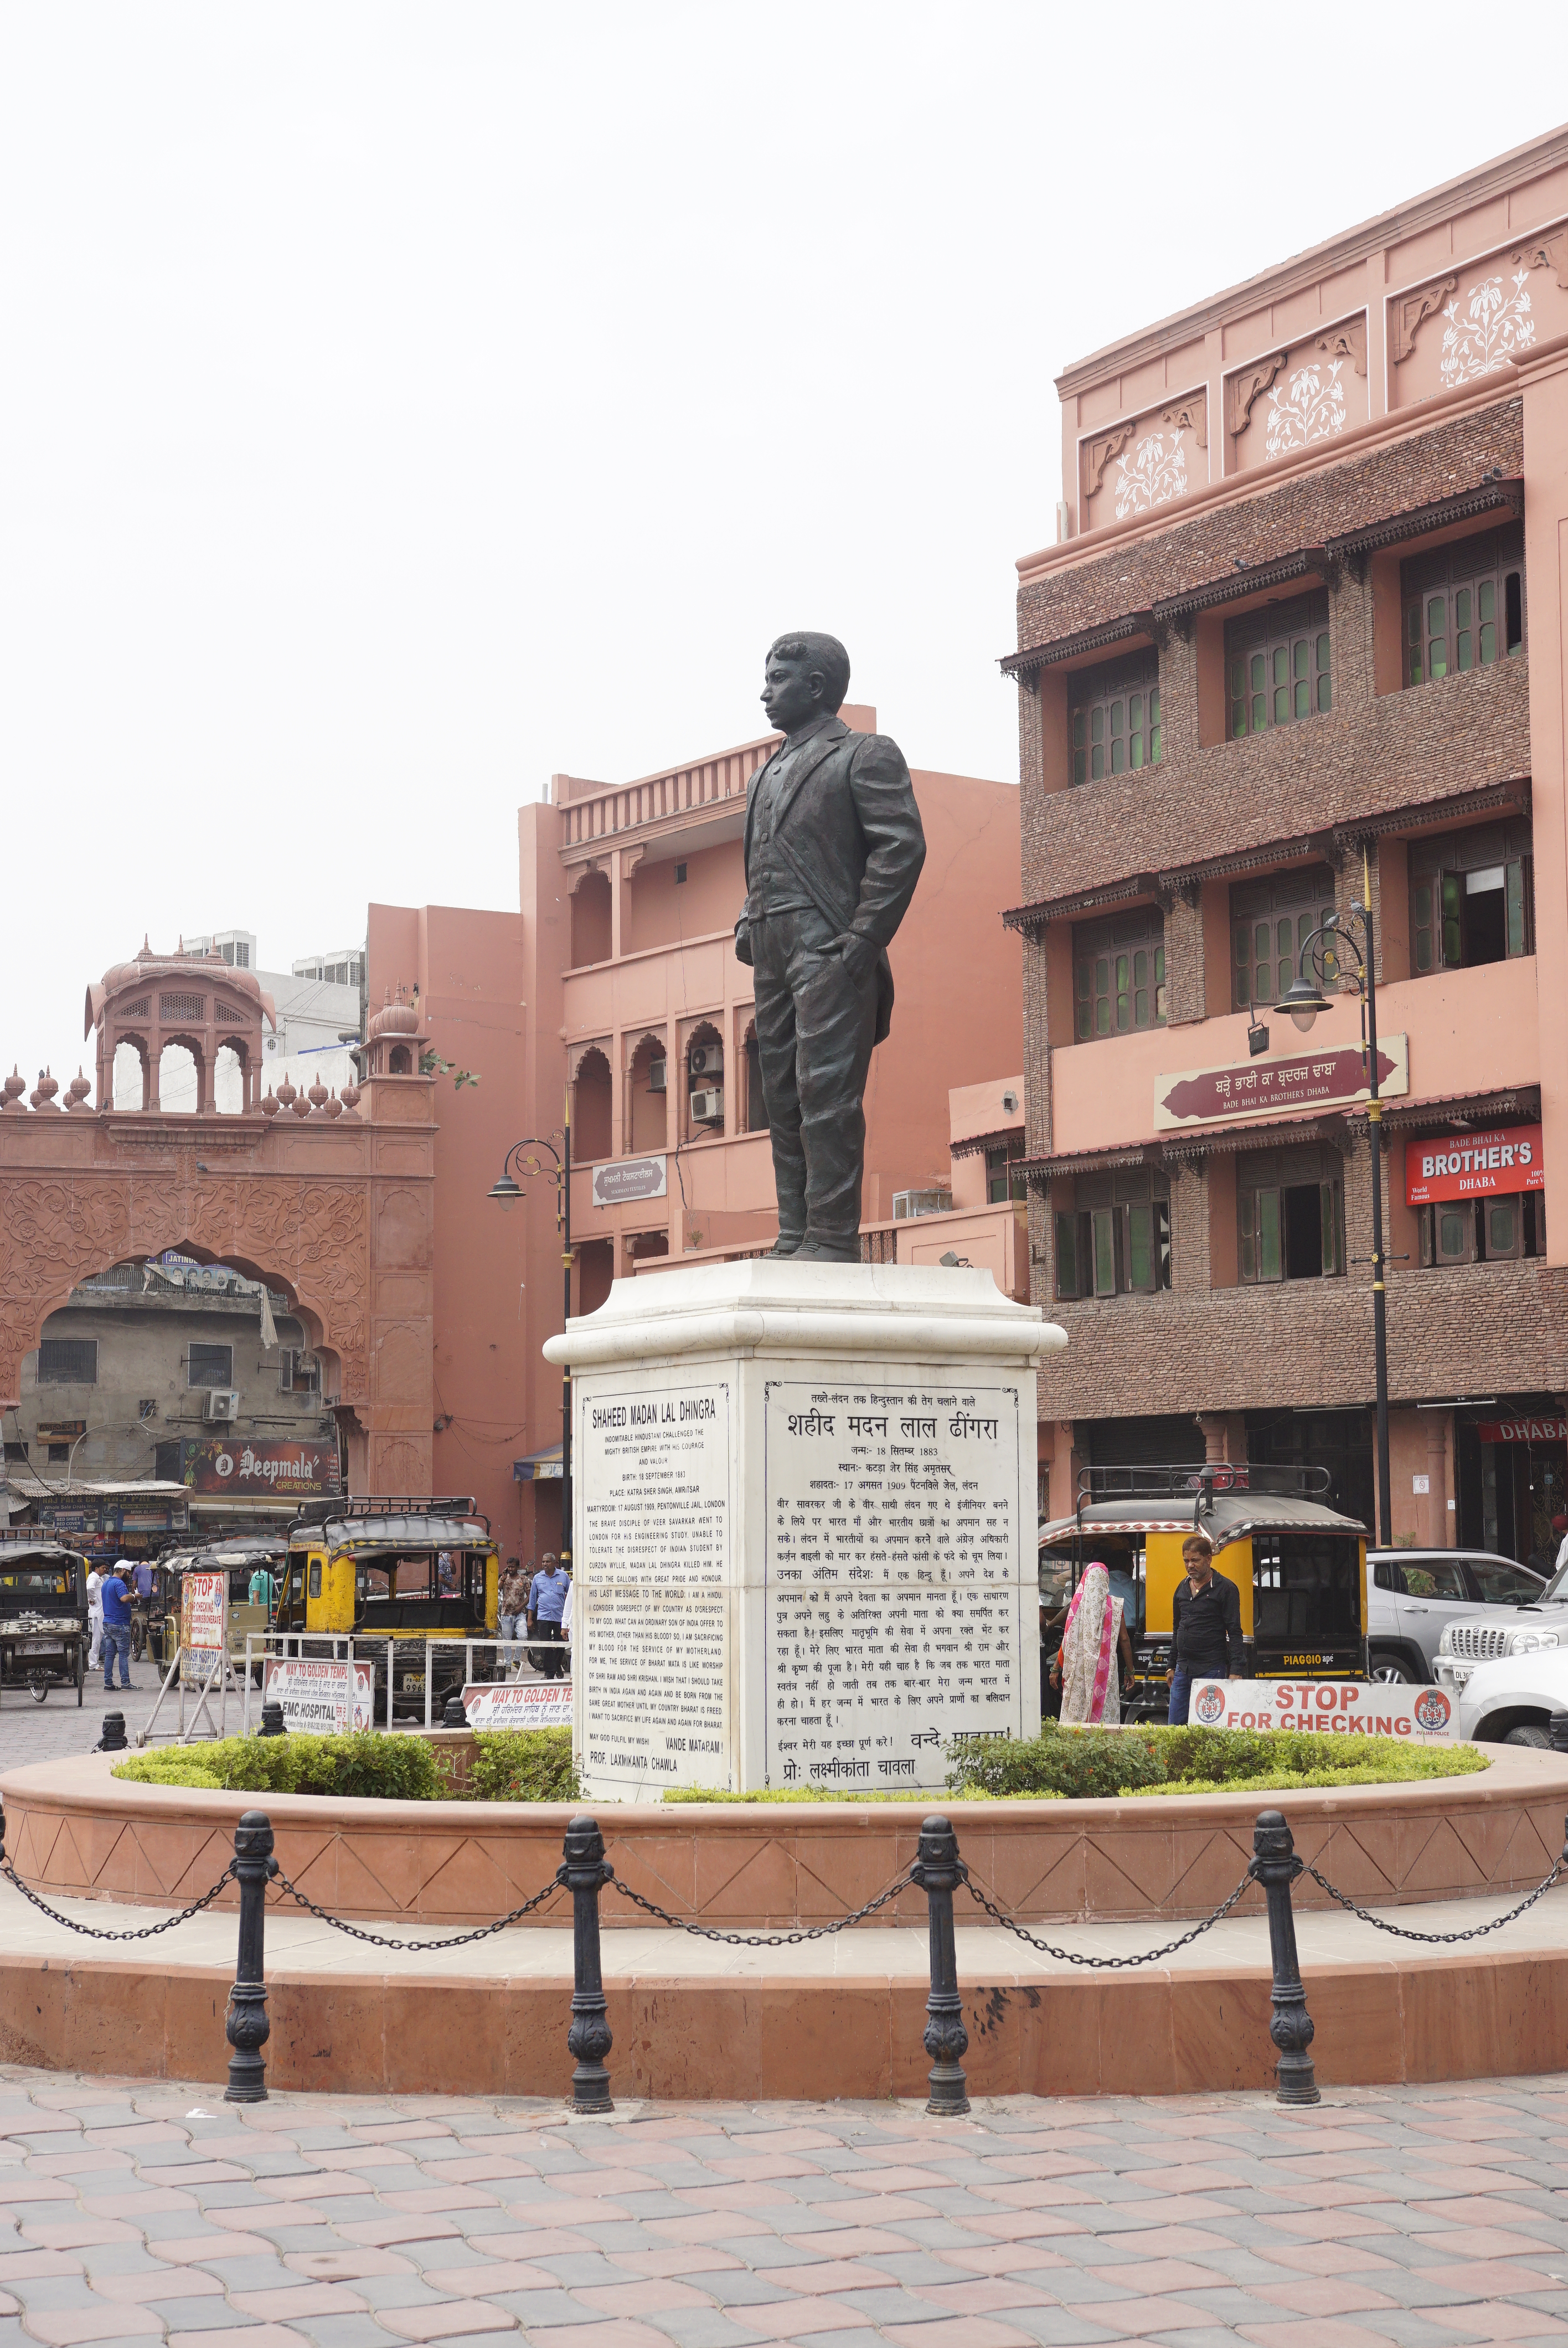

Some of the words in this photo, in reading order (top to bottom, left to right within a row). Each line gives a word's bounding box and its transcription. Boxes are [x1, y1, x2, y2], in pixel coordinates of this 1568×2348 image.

[1211, 1072, 1234, 1099] ਬੜ੍ਹੇ
[1220, 1098, 1240, 1111] BADE
[1233, 1068, 1260, 1094] ਭਾਈ
[1239, 1095, 1258, 1108] BHAI
[1257, 1092, 1269, 1105] KA
[1259, 1067, 1277, 1088] ਕਾ
[1268, 1087, 1304, 1103] BROTHER
[1275, 1060, 1311, 1088] ਬ੍ਰਦਰਜ਼
[1304, 1083, 1332, 1100] DHABA
[1310, 1059, 1339, 1081] ਢਾਬਾ
[1445, 1136, 1471, 1151] BADE
[1471, 1132, 1493, 1148] BHAI
[1492, 1131, 1508, 1145] KA
[1419, 1140, 1533, 1181] BROTHER
[602, 1169, 621, 1190] ਸੁਖਮਨੀ
[621, 1166, 657, 1183] ਟੈਕਸਟਾਈਲਸ
[1408, 1185, 1430, 1194] World
[1456, 1173, 1497, 1193] DHABA
[1524, 1177, 1541, 1188] Pure
[1529, 1168, 1540, 1178] 100
[1408, 1192, 1432, 1202] Famous
[590, 1405, 629, 1431] SHAHEED
[603, 1432, 633, 1445] INDOMITABLE
[628, 1402, 659, 1429] MADAN
[633, 1430, 662, 1441] HINDUSTANI
[659, 1399, 679, 1427] LAL
[661, 1428, 693, 1440] CHALLENGED
[678, 1393, 719, 1425] DHINGRA.
[693, 1427, 705, 1438] THE
[778, 1406, 838, 1440] शहीद
[807, 1389, 851, 1406] तख्ते-लंदन
[851, 1392, 869, 1407] तक
[844, 1414, 892, 1439] मदन
[868, 1392, 905, 1413] हिन्दुस्तान
[904, 1393, 919, 1408] की
[896, 1415, 940, 1440] लाल
[918, 1392, 934, 1409] तेग
[933, 1394, 960, 1408] चलाने
[959, 1394, 977, 1409] वाले
[946, 1410, 1003, 1445] ढींगरा
[1495, 1422, 1567, 1441] DHABA
[602, 1446, 622, 1457] MIGHTY
[621, 1445, 639, 1456] BRITISH
[639, 1444, 658, 1455] EMPIRE
[658, 1443, 672, 1453] WITH
[671, 1442, 681, 1452] HIS
[680, 1440, 705, 1452] COURAGE
[848, 1445, 866, 1457] जन्म
[875, 1446, 887, 1457] 18
[888, 1442, 916, 1458] सितम्बर
[917, 1444, 941, 1459] 1883
[235, 1440, 323, 1487] Deepmala CREATIONS
[620, 1472, 637, 1482] BIRTH:
[637, 1471, 645, 1482] 18
[637, 1457, 648, 1466] AND
[648, 1456, 669, 1466] VALOUR
[644, 1469, 675, 1481] SEPTEMBER
[674, 1468, 687, 1481] 1883
[835, 1462, 855, 1474] स्थान
[864, 1462, 888, 1475] कटड़ा
[888, 1459, 903, 1475] शेर
[902, 1460, 920, 1476] सिंह
[920, 1463, 956, 1477] अमृतसर
[275, 1480, 322, 1494] CREATIONS
[608, 1487, 626, 1499] PLACE:
[626, 1487, 643, 1499] KATRA
[642, 1487, 656, 1496] SHER
[656, 1485, 673, 1496] SINGH,
[673, 1484, 702, 1495] AMRITSAR
[808, 1478, 834, 1492] शहादत
[842, 1479, 855, 1491] 17
[854, 1478, 884, 1492] अगसत
[884, 1480, 907, 1491] 1909
[907, 1476, 941, 1492] पैंटनविले
[941, 1477, 958, 1494] जेल,
[957, 1479, 981, 1494] लंदन
[585, 1502, 617, 1515] MARTYRDOM:
[616, 1502, 624, 1512] 17
[623, 1501, 643, 1512] AUGUST
[643, 1501, 656, 1512] 1909,
[656, 1499, 690, 1511] PENTONVILLE
[690, 1500, 704, 1510] JAIL,
[703, 1498, 726, 1510] LONDON
[774, 1496, 791, 1511] वीर
[793, 1498, 827, 1512] सावरकर
[830, 1497, 843, 1511] जी
[844, 1496, 858, 1511] के
[859, 1496, 878, 1511] वीर
[879, 1497, 901, 1511] साथी
[901, 1499, 924, 1512] लंदन
[924, 1498, 941, 1513] गए
[941, 1496, 953, 1512] थे
[953, 1496, 988, 1513] इंजीनियर
[989, 1497, 1013, 1513] बनने
[586, 1520, 599, 1528] THE
[600, 1518, 616, 1528] BRAVE
[616, 1518, 642, 1529] DISCIPLE
[642, 1518, 651, 1529] OF
[649, 1516, 667, 1528] VEER
[667, 1516, 696, 1528] SAVARKAR
[696, 1515, 715, 1526] WENT
[714, 1514, 725, 1526] TO
[775, 1513, 787, 1528] केे
[788, 1513, 807, 1528] लिये
[809, 1516, 823, 1527] प‍र
[826, 1515, 849, 1528] भारत
[851, 1513, 864, 1529] माँ
[865, 1512, 885, 1528] और
[887, 1515, 917, 1530] भारतीय
[914, 1512, 937, 1529] छात्रों
[938, 1516, 952, 1530] का
[953, 1516, 983, 1528] अपमान
[983, 1516, 999, 1530] सह
[999, 1515, 1012, 1528] न
[587, 1531, 610, 1542] LONDON
[610, 1531, 623, 1542] FOR
[620, 1531, 633, 1542] 1118
[632, 1530, 669, 1542] ENGINEERING
[668, 1530, 688, 1540] STUDY
[690, 1529, 715, 1540] UNABLE
[714, 1528, 724, 1539] TO
[772, 1530, 793, 1547] सके
[798, 1531, 819, 1546] लंदन
[821, 1529, 833, 1546] में
[833, 1530, 866, 1546] भारतीयों
[867, 1532, 881, 1546] का
[881, 1533, 911, 1546] अपमान
[912, 1531, 934, 1546] करनेे
[933, 1531, 952, 1546] वाले
[952, 1531, 977, 1548] अंग्रेज़
[976, 1531, 1012, 1546] अधिकारी
[586, 1573, 604, 1584] FACED
[586, 1560, 608, 1571] CURZON
[587, 1545, 615, 1554] TOLERATE
[603, 1574, 616, 1585] THE
[608, 1559, 627, 1571] WYLLIE,
[613, 1544, 626, 1554] THE
[616, 1573, 639, 1584] GALLOWS
[627, 1560, 647, 1571] MADAN
[625, 1543, 658, 1556] DISRESPECT
[639, 1572, 653, 1584] WITH
[647, 1559, 659, 1570] LAL
[653, 1573, 671, 1584] GREAT
[657, 1543, 668, 1554] OF
[659, 1559, 682, 1569] DHINGRA
[667, 1542, 688, 1553] INDIAN
[671, 1573, 688, 1584] PRIDE
[682, 1559, 702, 1570] KILLED
[687, 1573, 699, 1583] AND
[688, 1542, 715, 1553] STUDENT
[701, 1558, 715, 1570] HIM.
[700, 1572, 723, 1584] HONOUR.
[714, 1541, 724, 1553] BY
[714, 1558, 724, 1569] HE
[772, 1547, 797, 1563] कर्ज़न
[772, 1567, 803, 1582] उनका
[797, 1548, 822, 1564] वाइली
[809, 1564, 841, 1581] अंतिम
[822, 1547, 838, 1564] को
[837, 1549, 853, 1563] मार
[845, 1563, 870, 1582] संदेश
[853, 1550, 869, 1562] कर
[878, 1566, 894, 1582] मैं
[868, 1548, 911, 1565] हंसते-हंसते
[894, 1569, 912, 1582] एक
[911, 1548, 931, 1563] फांसी
[914, 1567, 936, 1585] हिन्दू
[930, 1549, 943, 1563] केे
[937, 1566, 950, 1585] हूँ।
[942, 1548, 957, 1563] फंदे
[957, 1548, 971, 1562] क‍ो
[955, 1565, 978, 1582] अपने
[969, 1549, 986, 1566] चूम
[979, 1566, 998, 1583] देश
[986, 1549, 1004, 1564] लिया
[998, 1564, 1012, 1580] के
[586, 1588, 599, 1599] HIS
[599, 1588, 613, 1599] LAST
[613, 1588, 641, 1599] MESSAGE
[640, 1588, 651, 1599] TO
[649, 1587, 664, 1599] THE
[663, 1588, 686, 1599] WORLD:
[685, 1588, 691, 1600] I
[690, 1589, 700, 1599] AM
[699, 1589, 705, 1602] A
[705, 1589, 725, 1601] HINDU.
[775, 1593, 804, 1604] अपमान
[808, 1589, 821, 1605] काे
[822, 1589, 833, 1604] मैं
[833, 1589, 854, 1604] अपने
[855, 1589, 878, 1603] देवता
[878, 1591, 891, 1603] का
[895, 1590, 924, 1605] अपमान
[924, 1590, 948, 1603] मानता
[947, 1587, 961, 1605] हूँ
[963, 1589, 982, 1603] एक
[979, 1588, 1012, 1603] साधारण
[585, 1601, 592, 1612] I
[585, 1615, 595, 1626] TO
[585, 1629, 597, 1641] HIS
[595, 1615, 602, 1625] MY
[592, 1601, 616, 1613] CONSIDER
[597, 1630, 616, 1640] MOTHER,
[602, 1616, 613, 1625] GOD.
[613, 1616, 627, 1626] WHAT
[616, 1630, 632, 1640] OTHER
[615, 1603, 643, 1614] DISRESPECT
[627, 1616, 637, 1627] CAN
[632, 1630, 644, 1641] THAN
[636, 1617, 644, 1627] AN
[643, 1603, 652, 1615] OF
[644, 1630, 653, 1641] HIS
[644, 1616, 668, 1628] ORDINARY
[652, 1602, 661, 1614] MY
[652, 1630, 670, 1642] BLOOD?
[667, 1616, 678, 1628] SON
[661, 1603, 685, 1614] COUNTRY
[670, 1631, 682, 1642] SO,
[678, 1617, 686, 1628] OF
[681, 1631, 685, 1642] I
[683, 1603, 694, 1614] AS
[684, 1632, 694, 1642] AM
[686, 1616, 699, 1628] INDIA
[699, 1618, 715, 1629] OFFER
[693, 1604, 725, 1615] DISRESPECT
[693, 1632, 725, 1642] SACRIFICING
[715, 1619, 724, 1630] TO
[770, 1609, 790, 1624] पु‍त्र
[775, 1629, 799, 1640] सकता
[791, 1608, 814, 1623] अपने
[801, 1624, 811, 1640] है
[816, 1610, 833, 1625] लहु
[817, 1625, 849, 1641] इसलिए
[833, 1605, 847, 1622] के
[849, 1624, 881, 1643] मातृभूमि
[849, 1608, 884, 1623] अतिरिक्त
[880, 1623, 896, 1639] की
[885, 1606, 911, 1623] अपनी
[896, 1622, 916, 1639] सेवा
[910, 1609, 930, 1620] माता
[918, 1622, 930, 1638] में
[932, 1605, 947, 1621] को
[930, 1624, 953, 1636] अपना
[948, 1606, 965, 1621] क्या
[958, 1625, 976, 1636] रक्त
[966, 1604, 994, 1621] समर्पित
[979, 1622, 996, 1636] भेंट
[994, 1606, 1012, 1619] कर
[996, 1624, 1014, 1635] कर
[586, 1642, 597, 1652] MY
[597, 1642, 616, 1652] BLOOD
[615, 1642, 628, 1652] FOR
[627, 1643, 639, 1653] THE
[638, 1644, 664, 1654] SERVICE
[664, 1645, 674, 1655] OF
[673, 1645, 684, 1654] MY
[685, 1645, 723, 1656] MOTHERLAND.
[774, 1645, 790, 1657] रहा
[791, 1642, 803, 1662] हूँ।
[804, 1642, 822, 1656] मेरे
[823, 1643, 843, 1656] लिए
[843, 1644, 865, 1656] भारत
[865, 1643, 886, 1657] माता
[887, 1641, 901, 1654] की
[901, 1640, 920, 1657] सेवा
[920, 1639, 933, 1655] ह‌ी
[933, 1642, 961, 1655] भगवान
[960, 1639, 976, 1655] श्री
[975, 1641, 992, 1655] राम
[992, 1639, 1013, 1655] और
[282, 1699, 301, 1719] EMC
[285, 1662, 299, 1676] WAY
[297, 1662, 307, 1676] TO
[298, 1701, 336, 1722] HOSPITAL
[306, 1662, 330, 1680] GOLDEN
[488, 1703, 503, 1717] ਸ਼੍ਰੀ
[489, 1688, 512, 1706] WAY
[499, 1702, 524, 1716] ਹਰਿਮੰਦਰ
[510, 1687, 525, 1705] TO
[521, 1703, 541, 1714] ਸਾਹਿਬ
[523, 1686, 561, 1703] GOLDEN
[537, 1702, 549, 1717] ਨੂੰ
[546, 1703, 562, 1714] ਜਾਣ
[561, 1702, 570, 1714] ਦਾ
[586, 1710, 592, 1721] I
[587, 1670, 596, 1682] OF
[586, 1655, 599, 1666] FOR
[586, 1697, 601, 1708] SAME
[587, 1685, 602, 1696] BIRTH
[591, 1711, 604, 1721] WANT
[595, 1670, 606, 1681] SHRI
[599, 1655, 607, 1666] ME,
[602, 1685, 608, 1696] IN
[604, 1712, 611, 1722] TO
[601, 1698, 616, 1711] GREAT
[606, 1671, 616, 1682] RAM
[607, 1655, 618, 1667] THE
[607, 1685, 621, 1697] INDIA
[616, 1672, 626, 1682] AND
[611, 1713, 633, 1723] SACRIFICE
[616, 1700, 635, 1711] MOTHER
[618, 1656, 638, 1667] SERVICE
[621, 1684, 636, 1697] AGAIN
[626, 1672, 637, 1684] SHRI
[632, 1713, 641, 1725] MY
[636, 1686, 647, 1698] AND
[634, 1700, 649, 1711] UNTIL
[638, 1656, 648, 1667] OF
[641, 1713, 652, 1725] LIFE
[637, 1673, 658, 1685] KRISHAN.
[649, 1701, 658, 1712] MY
[647, 1686, 663, 1698] AGAIN
[647, 1656, 667, 1669] BHARAT
[651, 1716, 666, 1726] AGAIN
[658, 1674, 663, 1685] I
[656, 1701, 680, 1713] COUNTRY
[662, 1674, 675, 1685] WISH
[663, 1689, 675, 1700] AND
[666, 1716, 677, 1726] AND
[667, 1659, 682, 1670] MATA
[673, 1690, 682, 1701] BE
[674, 1675, 688, 1685] THAT
[677, 1717, 692, 1727] AGAIN
[682, 1659, 688, 1670] IS
[686, 1676, 691, 1686] I
[682, 1690, 697, 1701] BORN
[679, 1703, 700, 1715] BHARAT
[688, 1659, 700, 1672] LIKE
[692, 1719, 703, 1728] FOR
[690, 1676, 711, 1688] SHOULD
[698, 1704, 705, 1715] IS
[697, 1691, 713, 1702] FROM
[700, 1660, 724, 1671] WORSHIP
[703, 1719, 724, 1731] BHARAT.
[705, 1705, 724, 1716] FREED.
[710, 1676, 725, 1688] TAKE
[713, 1690, 725, 1702] THE
[773, 1697, 786, 1711] ही
[773, 1661, 788, 1675] श्री
[773, 1716, 797, 1727] करना
[773, 1680, 798, 1692] स्वतंत्र
[787, 1695, 800, 1711] हो
[789, 1663, 809, 1677] कृष्ण
[797, 1714, 823, 1727] चाहता
[802, 1678, 821, 1692] नहीं
[807, 1695, 818, 1709] मैं
[811, 1660, 824, 1675] की
[819, 1698, 833, 1709] हर
[823, 1711, 835, 1731] हूँ
[824, 1677, 837, 1694] हो